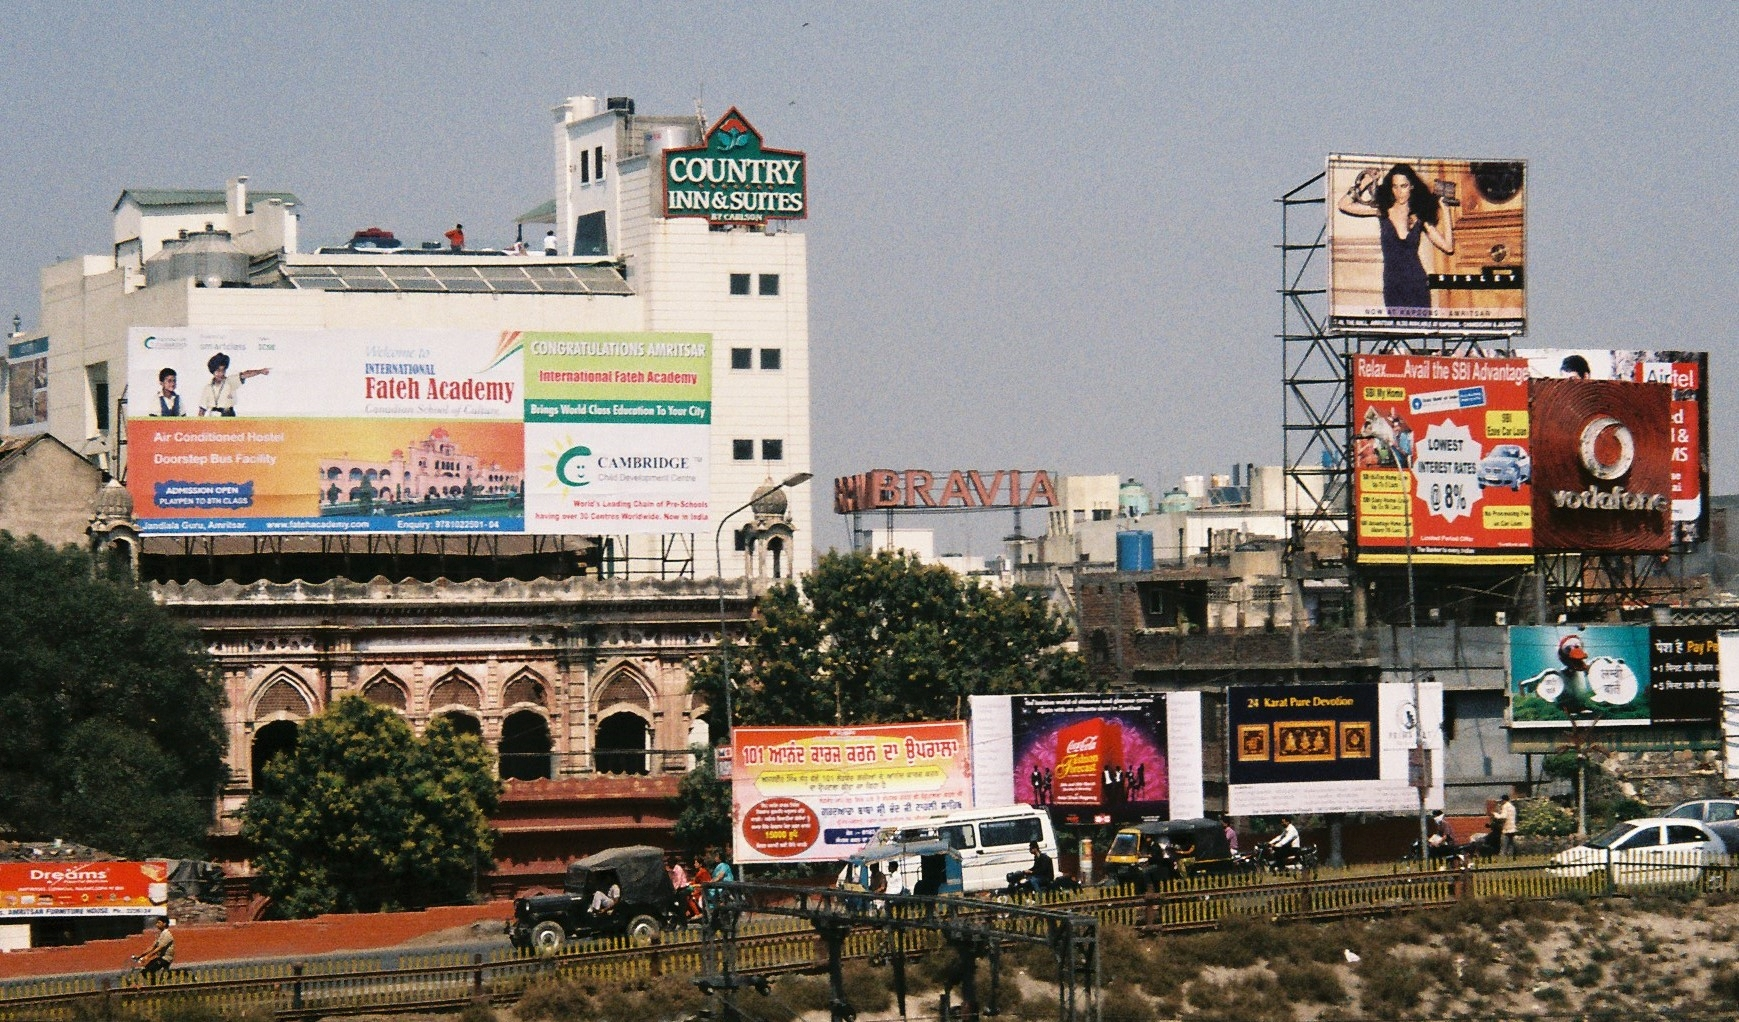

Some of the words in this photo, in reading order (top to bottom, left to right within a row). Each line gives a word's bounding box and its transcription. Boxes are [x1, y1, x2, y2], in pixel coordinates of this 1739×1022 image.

[665, 153, 805, 189] COUNTRY
[665, 186, 713, 212] INN
[710, 187, 729, 211] &
[728, 187, 805, 213] SUITES
[529, 338, 647, 362] CONGRATULATIONS
[647, 339, 709, 360] AMRITSAR
[359, 376, 422, 403] Fateh
[359, 361, 437, 377] INTERNATIONAL
[422, 376, 519, 407] Academy
[533, 364, 614, 385] International
[613, 365, 647, 387] Fateh
[647, 366, 700, 389] Academy
[1354, 353, 1390, 378] Relax.
[1402, 355, 1432, 381] Avail
[1431, 355, 1451, 381] the
[1448, 356, 1473, 384] SBI
[1470, 359, 1530, 388] Advantage
[1423, 434, 1469, 455] LOWEST
[595, 451, 693, 473] CAMBRIDGE
[866, 463, 1062, 513] BRAVIA
[1441, 478, 1471, 515] 8%
[738, 741, 766, 769] 101
[766, 738, 810, 768] ਆਨੰਦ
[807, 741, 844, 766] ਕਾਰਜ
[842, 742, 879, 766] ਕਰਨ
[880, 740, 900, 765] ਦਾ
[898, 733, 964, 766] ਉਪਰਾਲਾ
[27, 863, 113, 881] Dreams